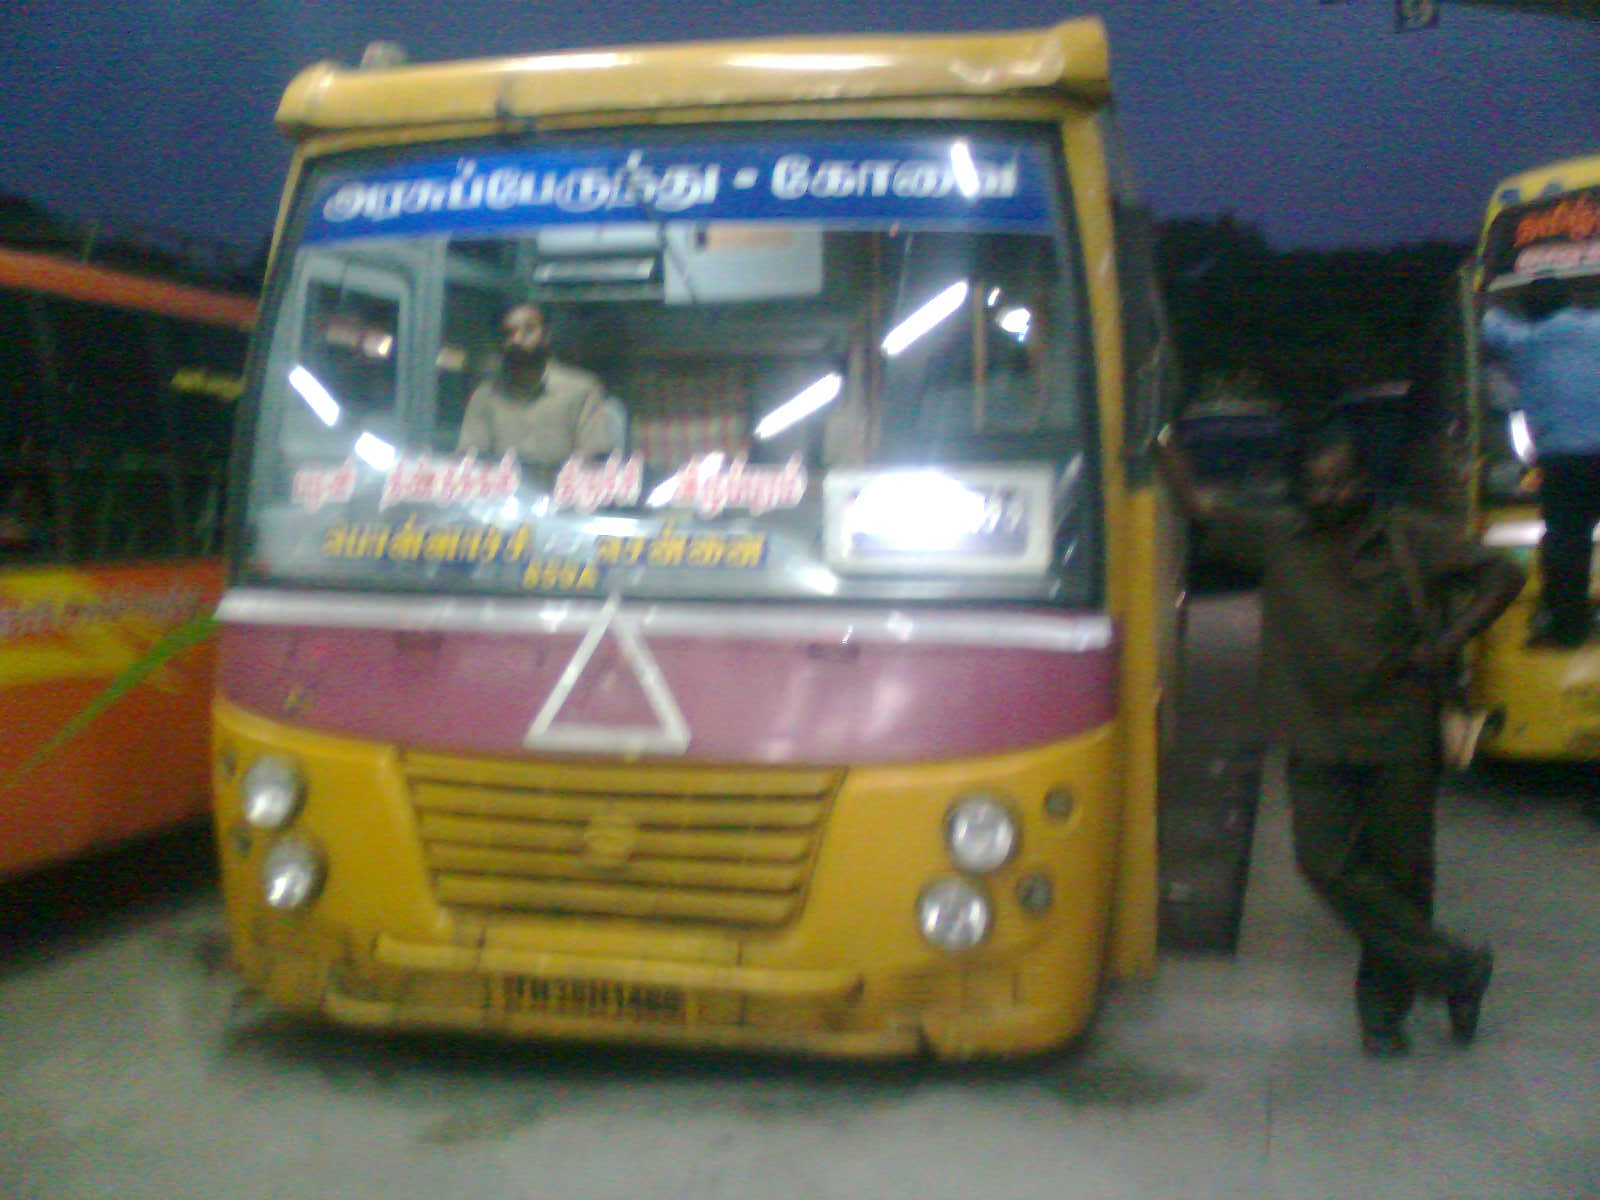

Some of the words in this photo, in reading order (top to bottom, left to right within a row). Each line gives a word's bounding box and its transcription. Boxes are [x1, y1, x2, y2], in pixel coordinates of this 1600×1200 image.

[316, 137, 730, 228] அரசுப்பேருந்து
[765, 148, 1027, 206] கோவை